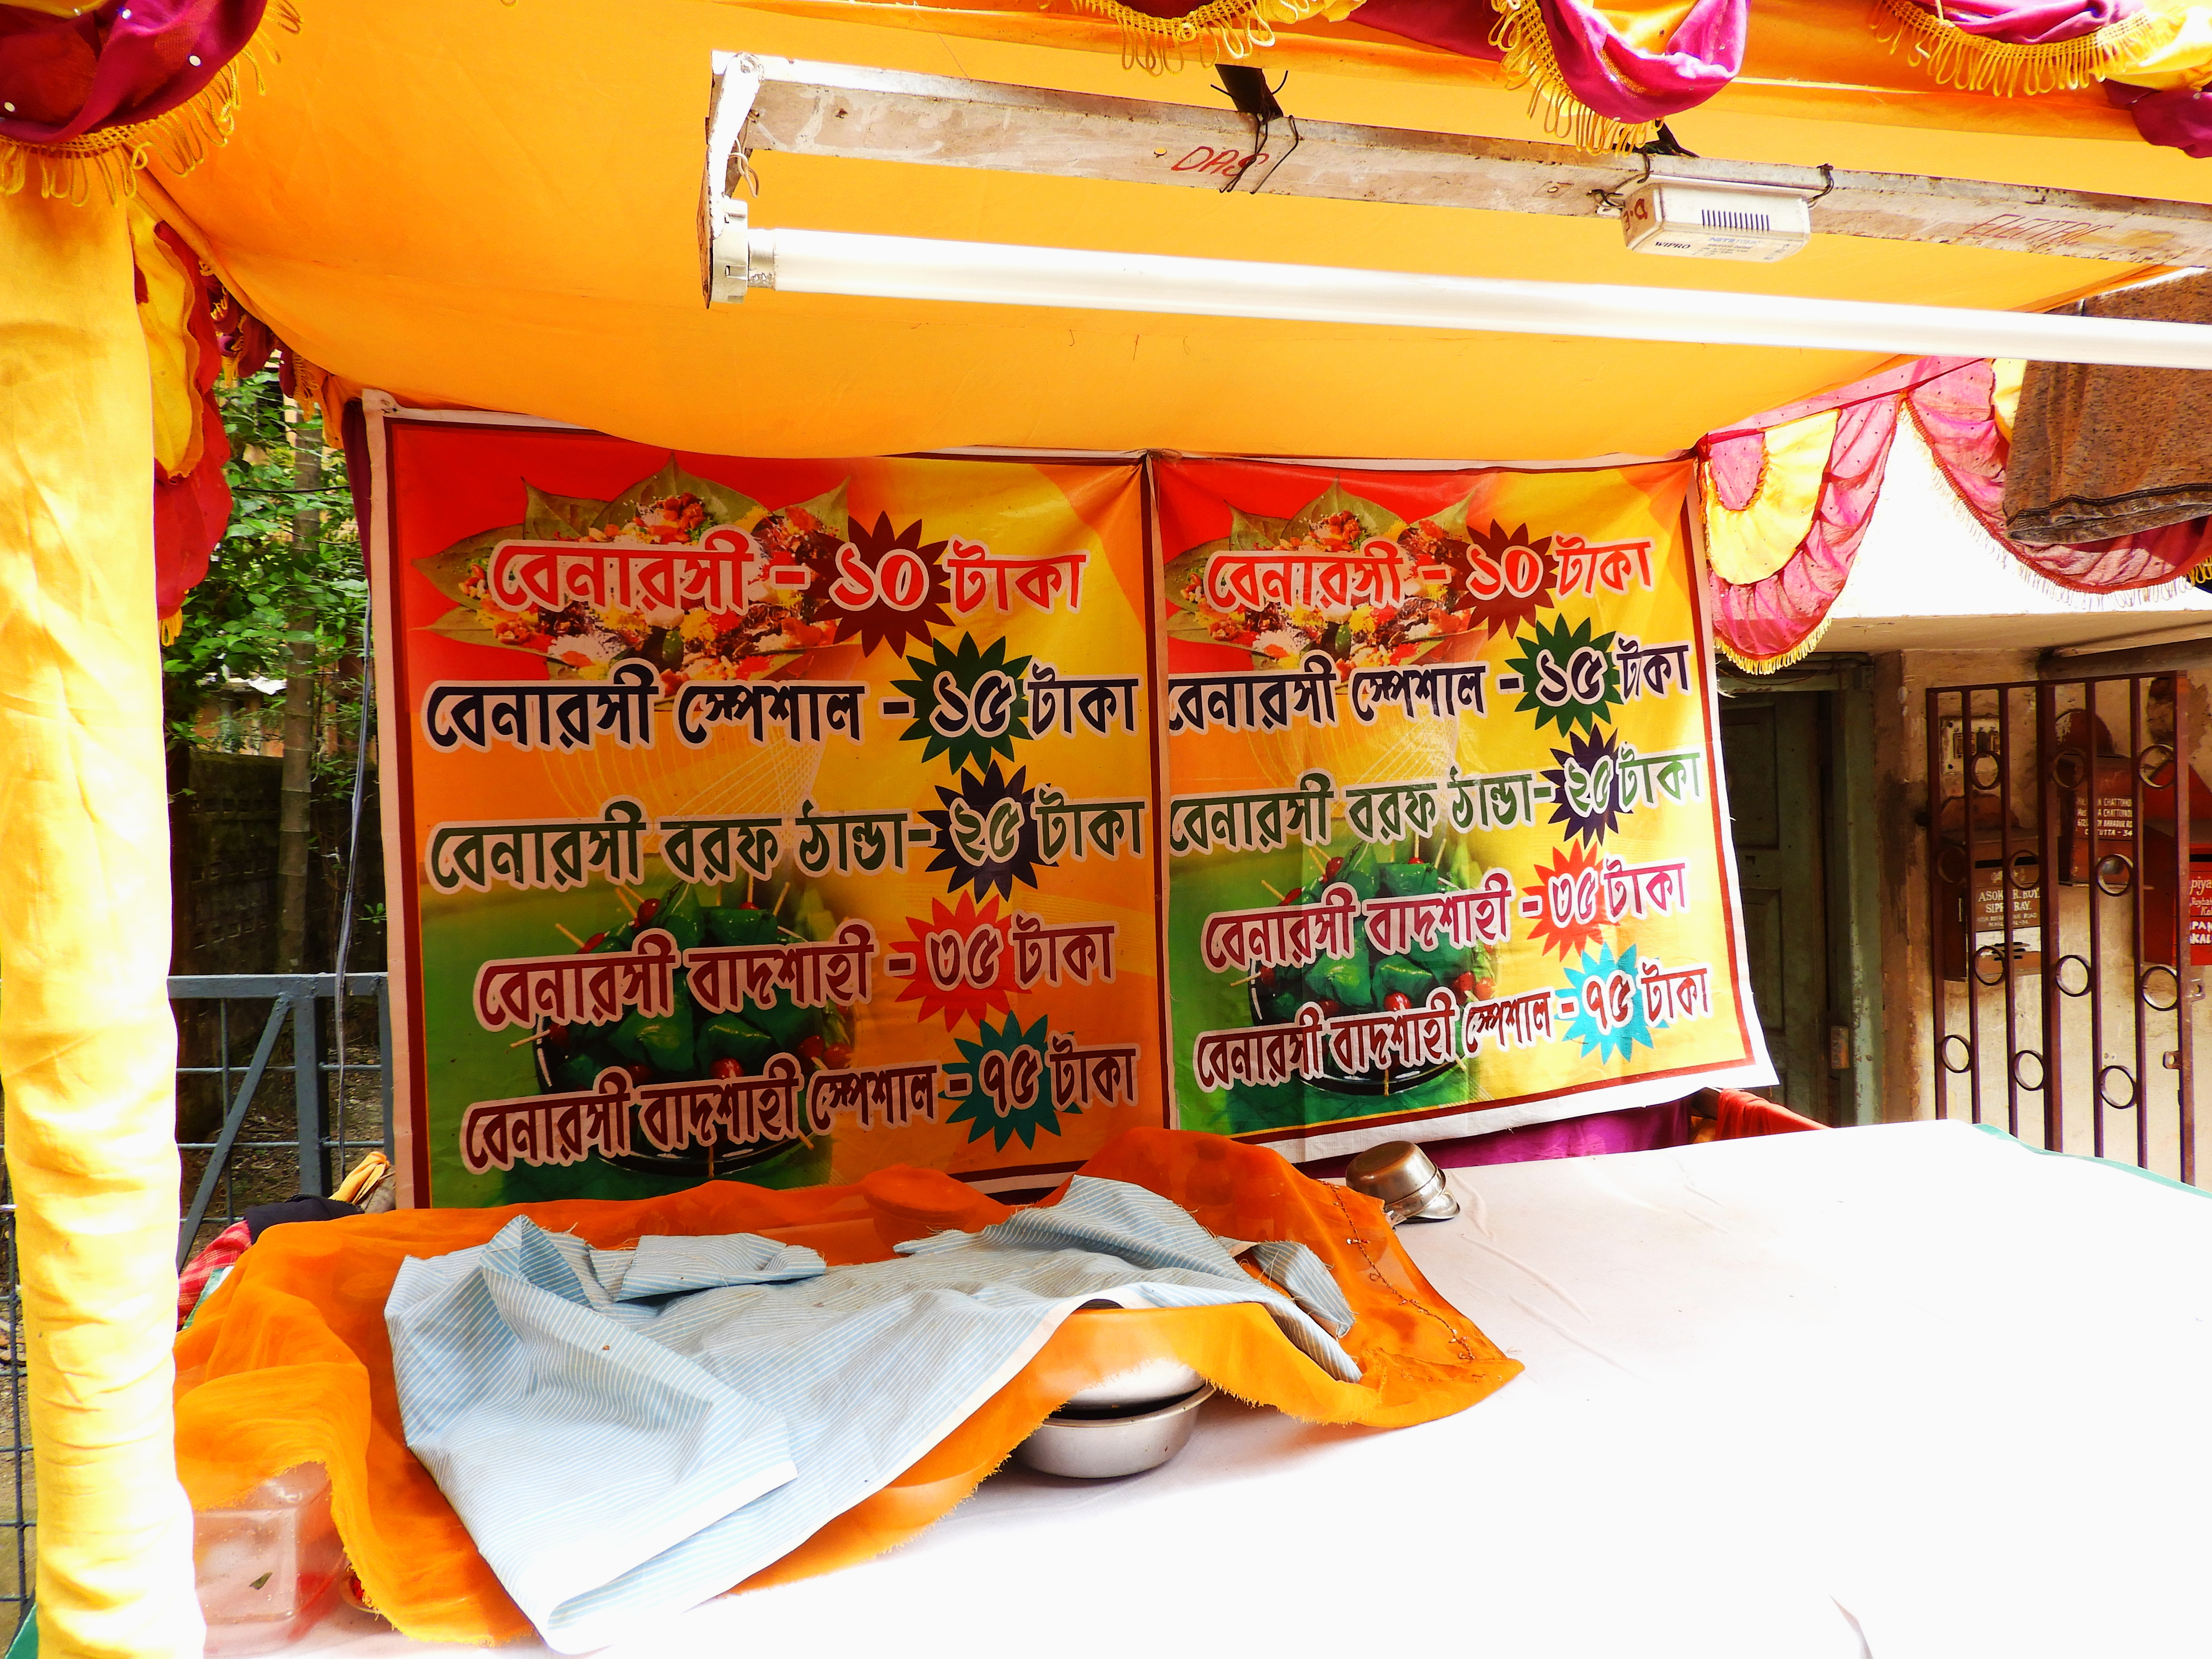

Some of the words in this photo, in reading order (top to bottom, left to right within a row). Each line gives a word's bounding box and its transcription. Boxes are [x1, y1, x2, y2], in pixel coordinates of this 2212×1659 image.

[479, 522, 767, 623] বেনাৱসী
[821, 527, 932, 617] ১০
[934, 525, 1095, 615] টাকা
[1195, 533, 1409, 620] বেনাবসী
[1459, 531, 1553, 606] ১০
[1541, 527, 1657, 605] টাকা
[419, 654, 672, 759] বেনারসী
[672, 670, 871, 752] স্পেশাল
[924, 655, 1144, 745] ১৫টাকা
[1162, 644, 1345, 739] বেনারসী
[1343, 656, 1499, 731] স্পেশাল
[1532, 637, 1615, 711] ১৫
[1612, 631, 1696, 701] টাকা
[426, 792, 654, 899] বেনারসী
[458, 1058, 638, 1180] বেনারসী
[468, 923, 685, 1039] বেনারসী
[658, 812, 785, 897] বরফ
[634, 1045, 810, 1161] বাদশাহী
[683, 911, 882, 1020] বাদশাহী
[783, 793, 917, 882] ঠান্ড৷
[802, 1053, 942, 1143] স্পেশাল
[921, 901, 1124, 995] ৩৫টাকা
[946, 773, 1149, 871] ২৫টাকা
[971, 1029, 1147, 1121] ৭৫টাকা
[1164, 761, 1337, 859] বেনারসী
[1186, 996, 1331, 1099] বেনারসী
[1191, 876, 1373, 981] বেনারসী
[1324, 981, 1463, 1081] বাদশাহী
[1343, 778, 1447, 849] বরফ
[1363, 866, 1517, 963] বাদশাহী
[1435, 757, 1540, 840] ঠান্ড৷
[1458, 984, 1560, 1065] স্পেশাল
[1544, 853, 1691, 936] ৩৫টাকা
[1558, 739, 1706, 825] ২৫টাকা
[1580, 958, 1712, 1036] ৭৫টাকা